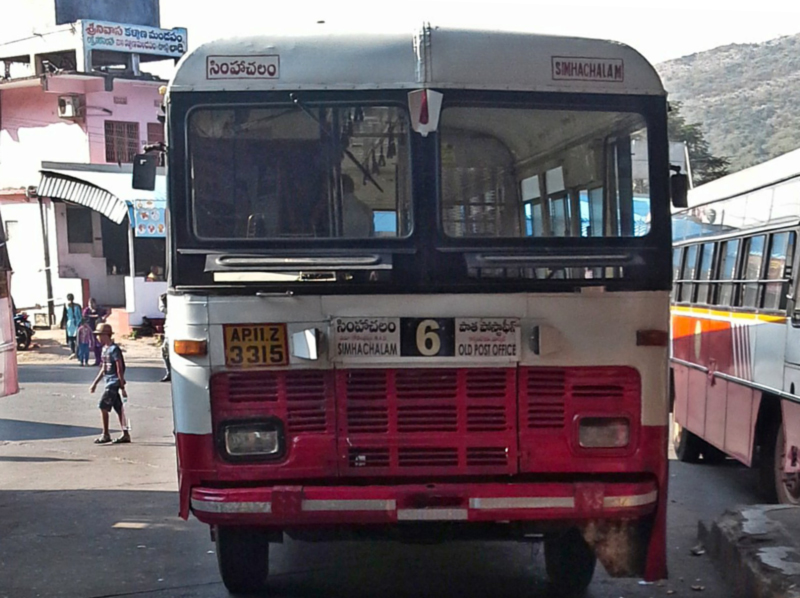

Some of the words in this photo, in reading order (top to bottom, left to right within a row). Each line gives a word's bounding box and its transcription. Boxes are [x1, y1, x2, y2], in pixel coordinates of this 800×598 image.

[82, 12, 124, 40] శ్రనివాస
[145, 23, 188, 47] మండపం.
[206, 56, 278, 79] సింహాచలం
[548, 55, 625, 81] SIMHACHALAM
[333, 310, 402, 337] సింహాచలం
[336, 337, 403, 360] SIMHACHALAM
[453, 338, 476, 359] OLD
[470, 340, 495, 359] POST
[487, 341, 521, 357] OFFICE